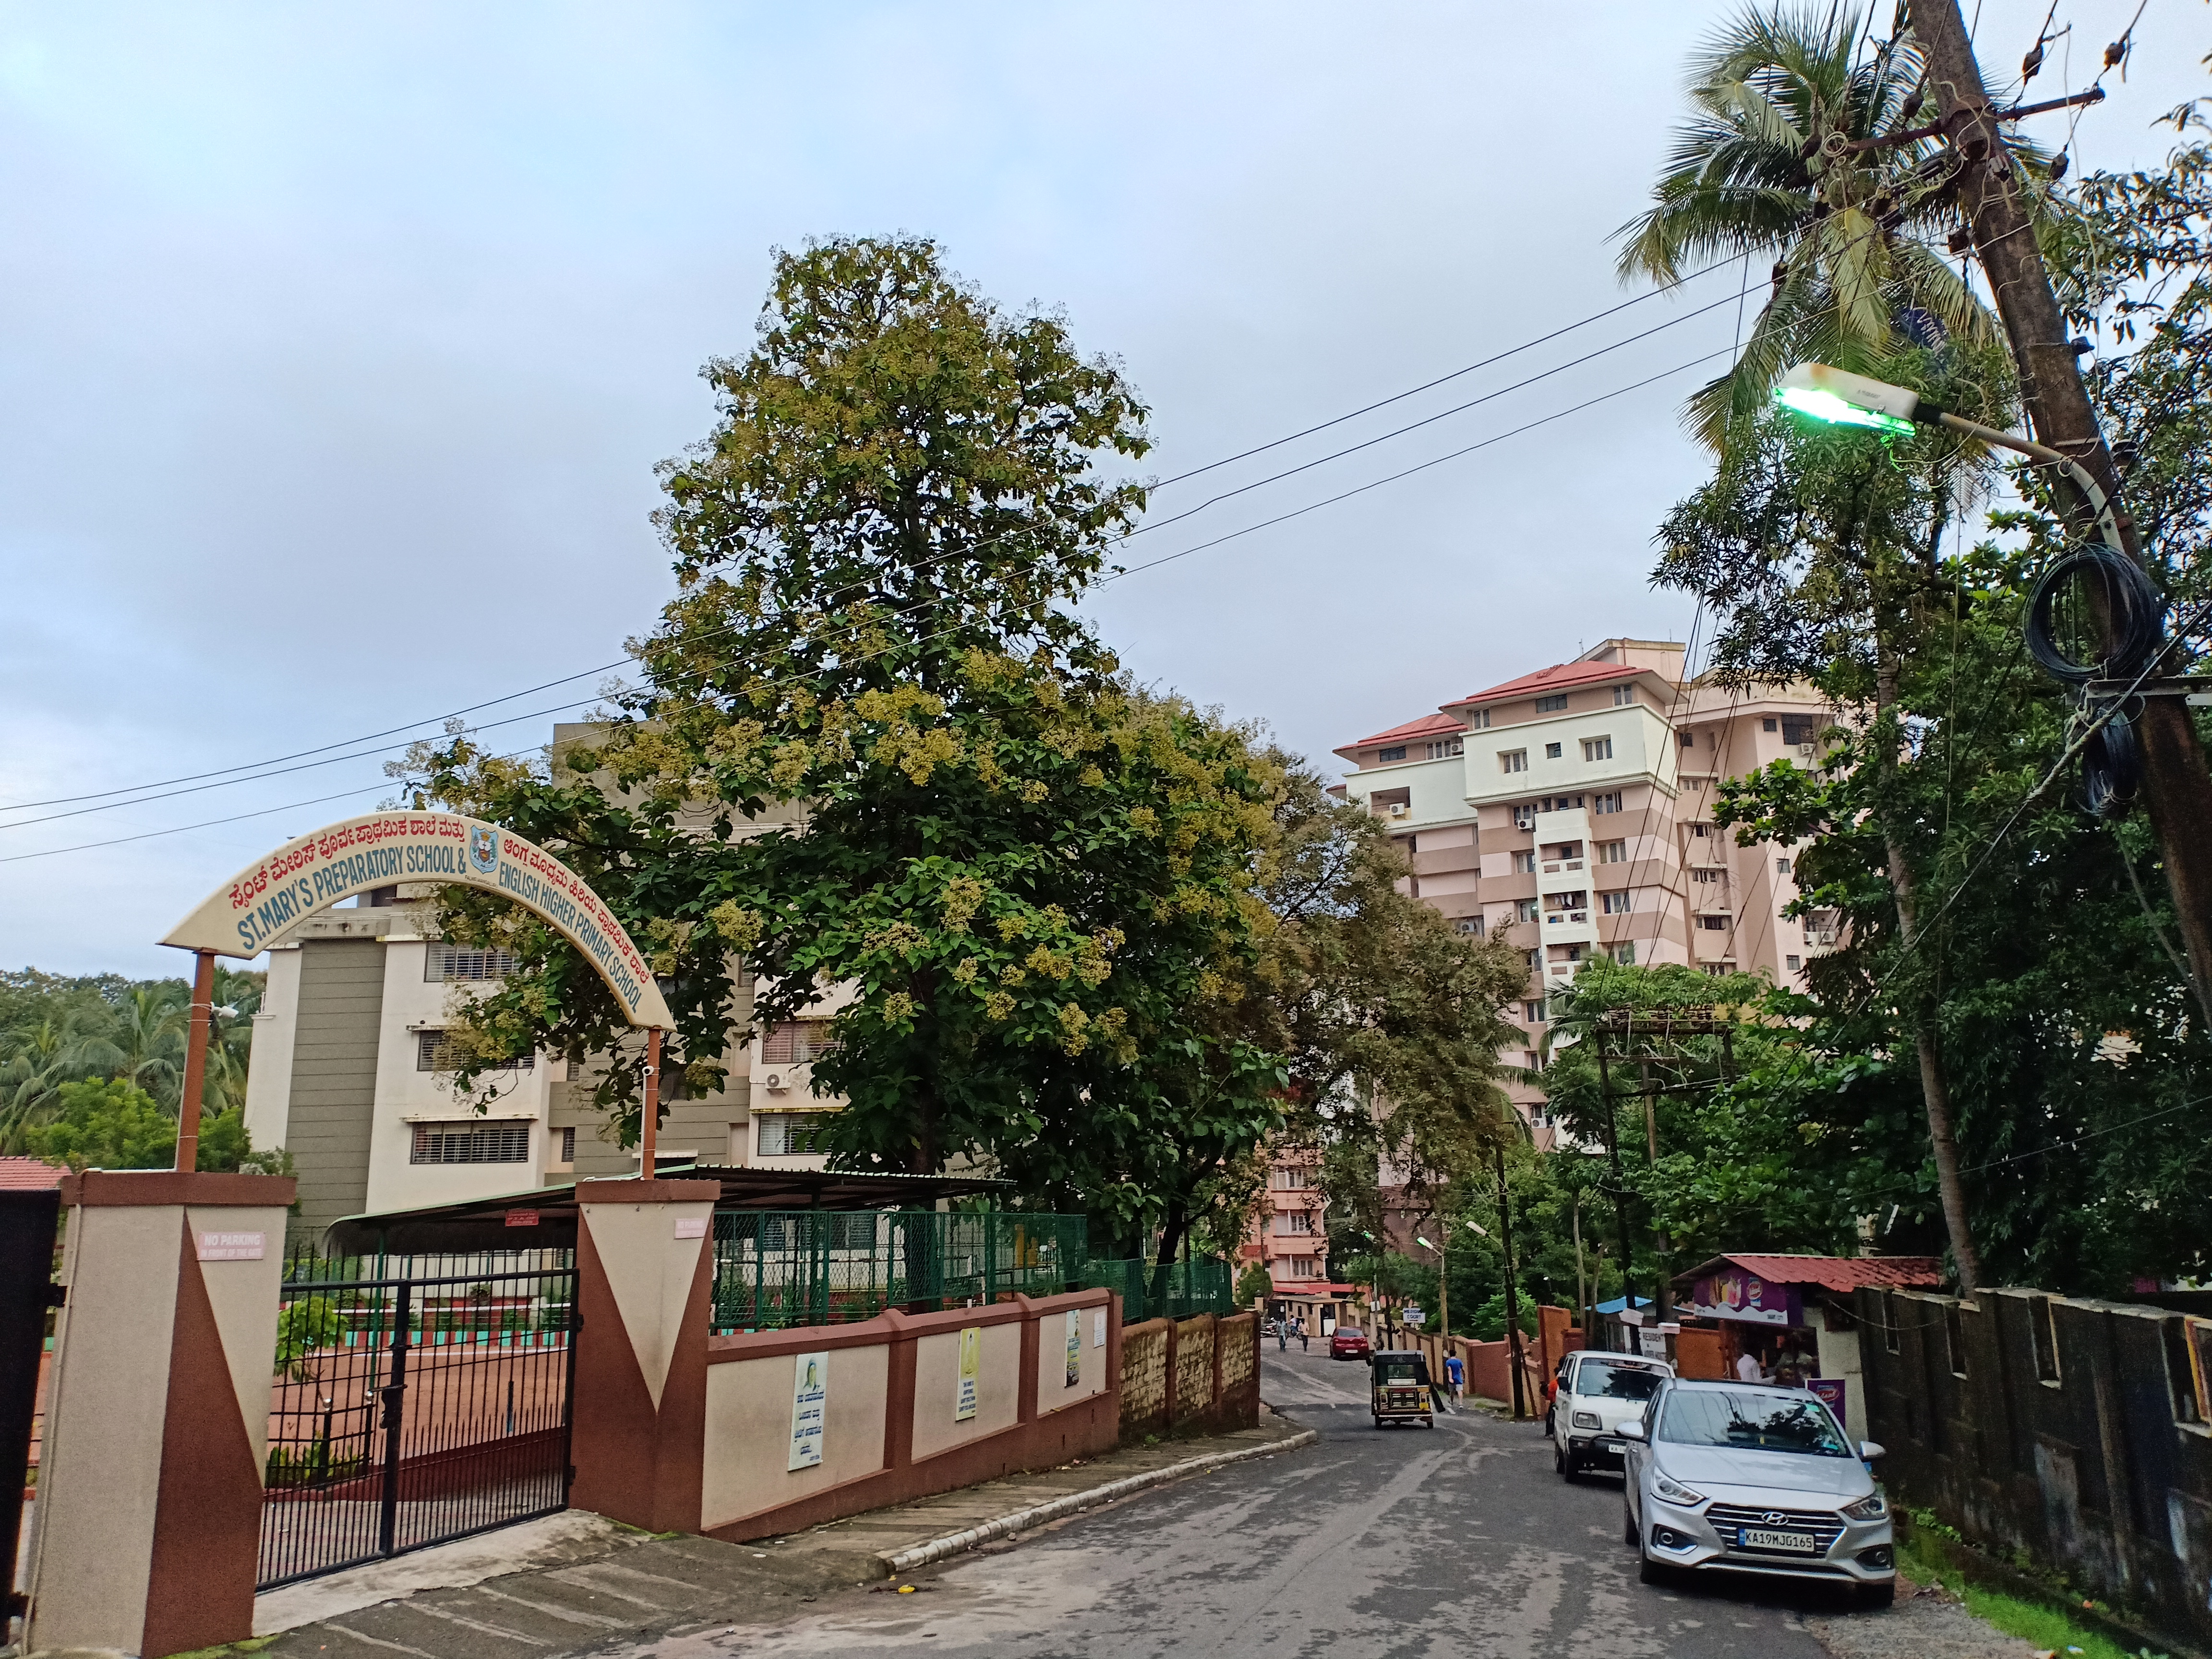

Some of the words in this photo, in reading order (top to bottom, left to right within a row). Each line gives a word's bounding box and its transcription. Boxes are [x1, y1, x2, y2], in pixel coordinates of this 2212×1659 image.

[223, 859, 271, 911] ಸೈಂಟ್
[233, 874, 317, 954] ST.MARY
[267, 836, 318, 884] ಮೇರಿಸ್
[311, 844, 405, 903] PREPARATORY
[313, 814, 409, 860] ಪೂರ್ವ ಪ್ರಾಥಮಿಕ
[405, 842, 457, 875] SCHOOL
[408, 812, 468, 844] ಶಾಲೆಮತ್ತು
[451, 845, 471, 879] &
[493, 857, 543, 905] ENGLISH
[536, 880, 579, 932] HIGHER
[571, 909, 617, 968] PRIMARY
[604, 954, 645, 1016] SCHOOL
[201, 1233, 221, 1248] NO
[218, 1230, 263, 1249] PARKING
[1640, 1329, 1665, 1345] RESIDENT
[811, 1406, 822, 1421] IF